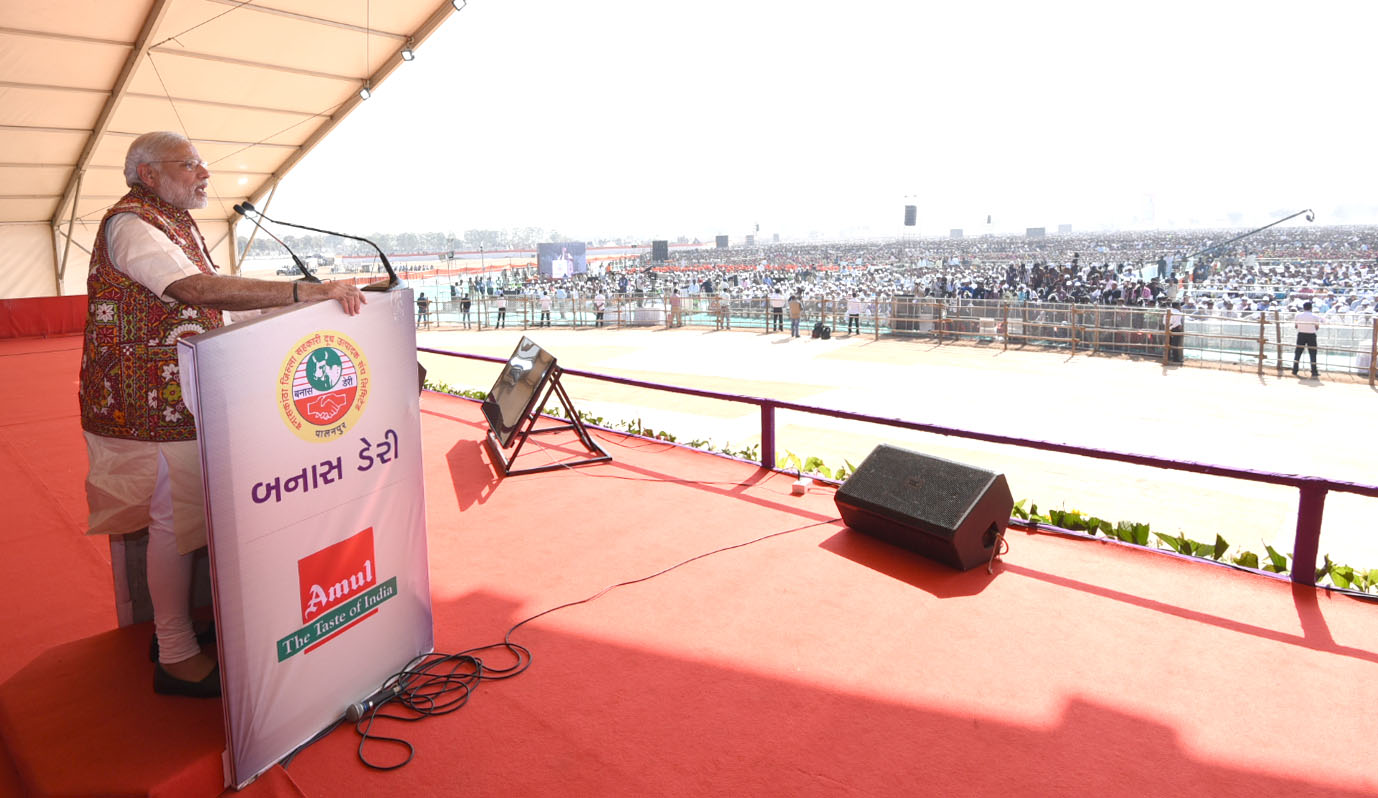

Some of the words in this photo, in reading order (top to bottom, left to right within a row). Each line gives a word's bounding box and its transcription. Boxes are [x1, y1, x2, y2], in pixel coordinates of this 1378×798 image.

[353, 425, 404, 475] ડેરી
[248, 453, 351, 507] બનાસ
[310, 605, 349, 639] Taste
[303, 549, 383, 621] Amul
[347, 595, 364, 620] of
[363, 578, 395, 609] India
[277, 625, 313, 658] The